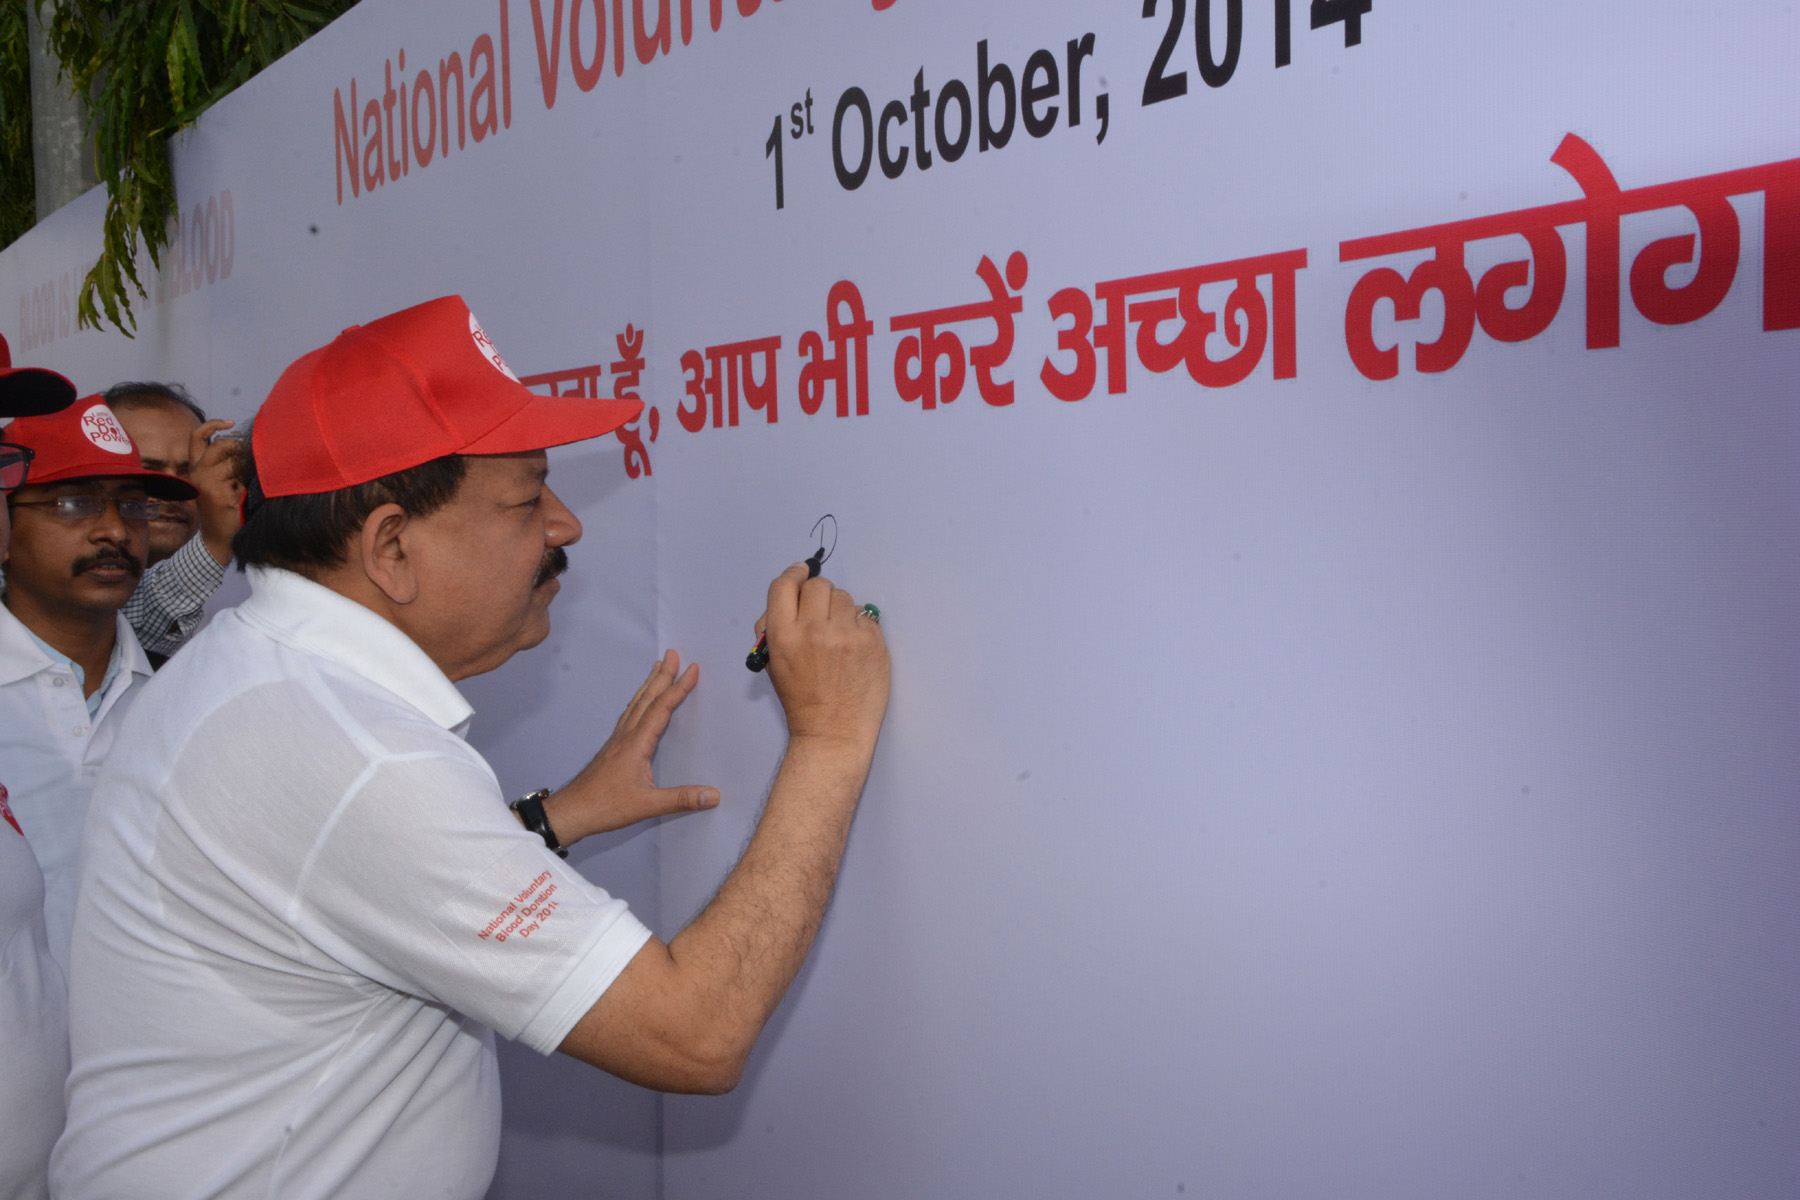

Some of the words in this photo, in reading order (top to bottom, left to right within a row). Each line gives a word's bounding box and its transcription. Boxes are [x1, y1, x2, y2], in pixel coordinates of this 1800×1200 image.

[315, 16, 521, 207] National
[755, 80, 822, 211] 1st
[826, 20, 1112, 201] October,
[605, 315, 664, 480] हूँ
[664, 323, 789, 445] आप
[786, 277, 884, 429] भी
[878, 247, 1034, 415] करें
[1036, 237, 1312, 409] अच्‍छा
[1335, 127, 1799, 382] लगेग